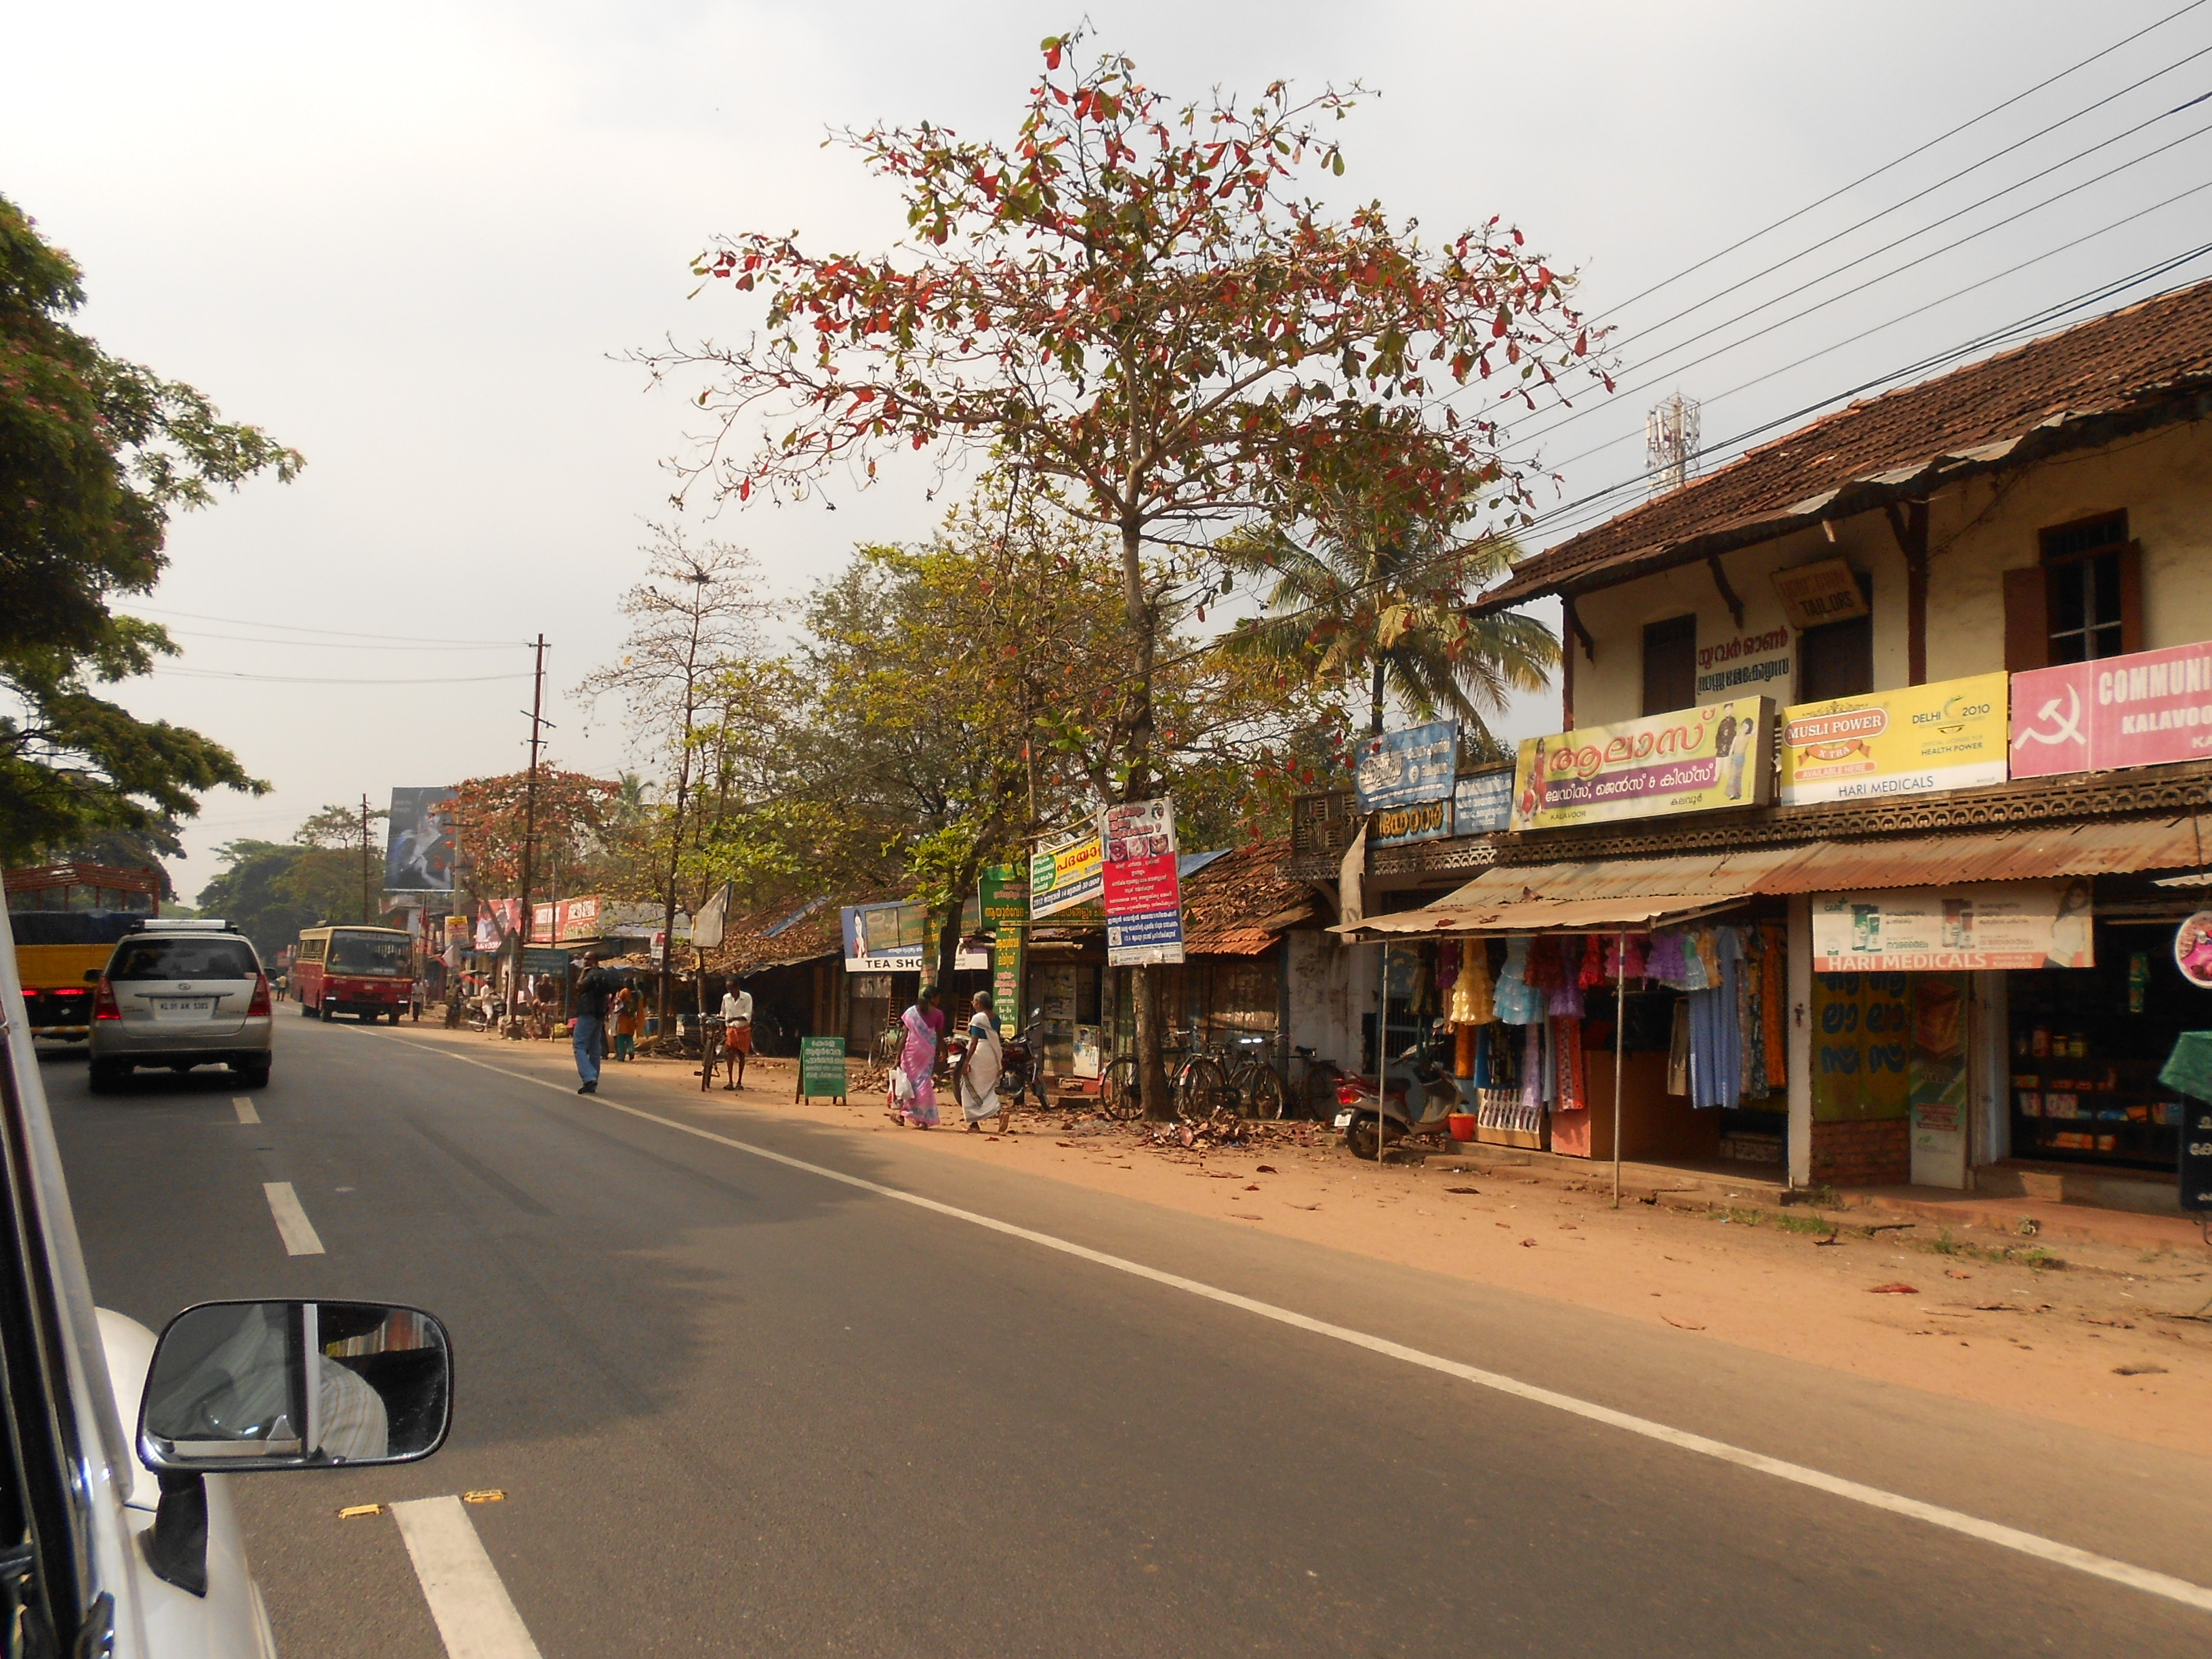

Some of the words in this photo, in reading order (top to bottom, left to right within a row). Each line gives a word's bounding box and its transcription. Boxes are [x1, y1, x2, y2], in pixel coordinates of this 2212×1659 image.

[1797, 586, 1854, 621] TAILORS
[1742, 623, 1793, 657] ഓൺ
[1694, 632, 1744, 672] യുവ൪
[2091, 653, 2211, 705] COMMUNI
[1784, 720, 1831, 741] MUSLI
[1829, 712, 1883, 735] POWER
[1910, 705, 1944, 727] DELHI
[1961, 700, 1992, 718] 2010
[1544, 705, 1717, 780] ആലാസ്
[1919, 741, 1955, 760] HEALTH
[1948, 738, 1986, 752] POWER
[1541, 777, 1594, 807] ലേഡീസ്
[1593, 771, 1650, 800] ജെൻസ്
[1645, 773, 1657, 790] 8
[1657, 761, 1715, 788] കിഡ്‌സ്
[1668, 790, 1704, 810] കലവൂർ
[1797, 765, 1845, 781] AVAILABLE
[1838, 780, 1868, 800] HARI
[1840, 761, 1867, 775] HERE
[1866, 773, 1935, 797] MEDICALS
[1361, 799, 1446, 841] മിയോറർ
[1548, 808, 1590, 821] KALAVOOR
[1052, 842, 1099, 872] പദയാ
[979, 901, 1025, 922] ആയൂർ‌വേദ
[864, 955, 893, 973] TEA
[801, 1043, 842, 1059] ആയുർവേദ
[809, 1038, 838, 1051] കോള